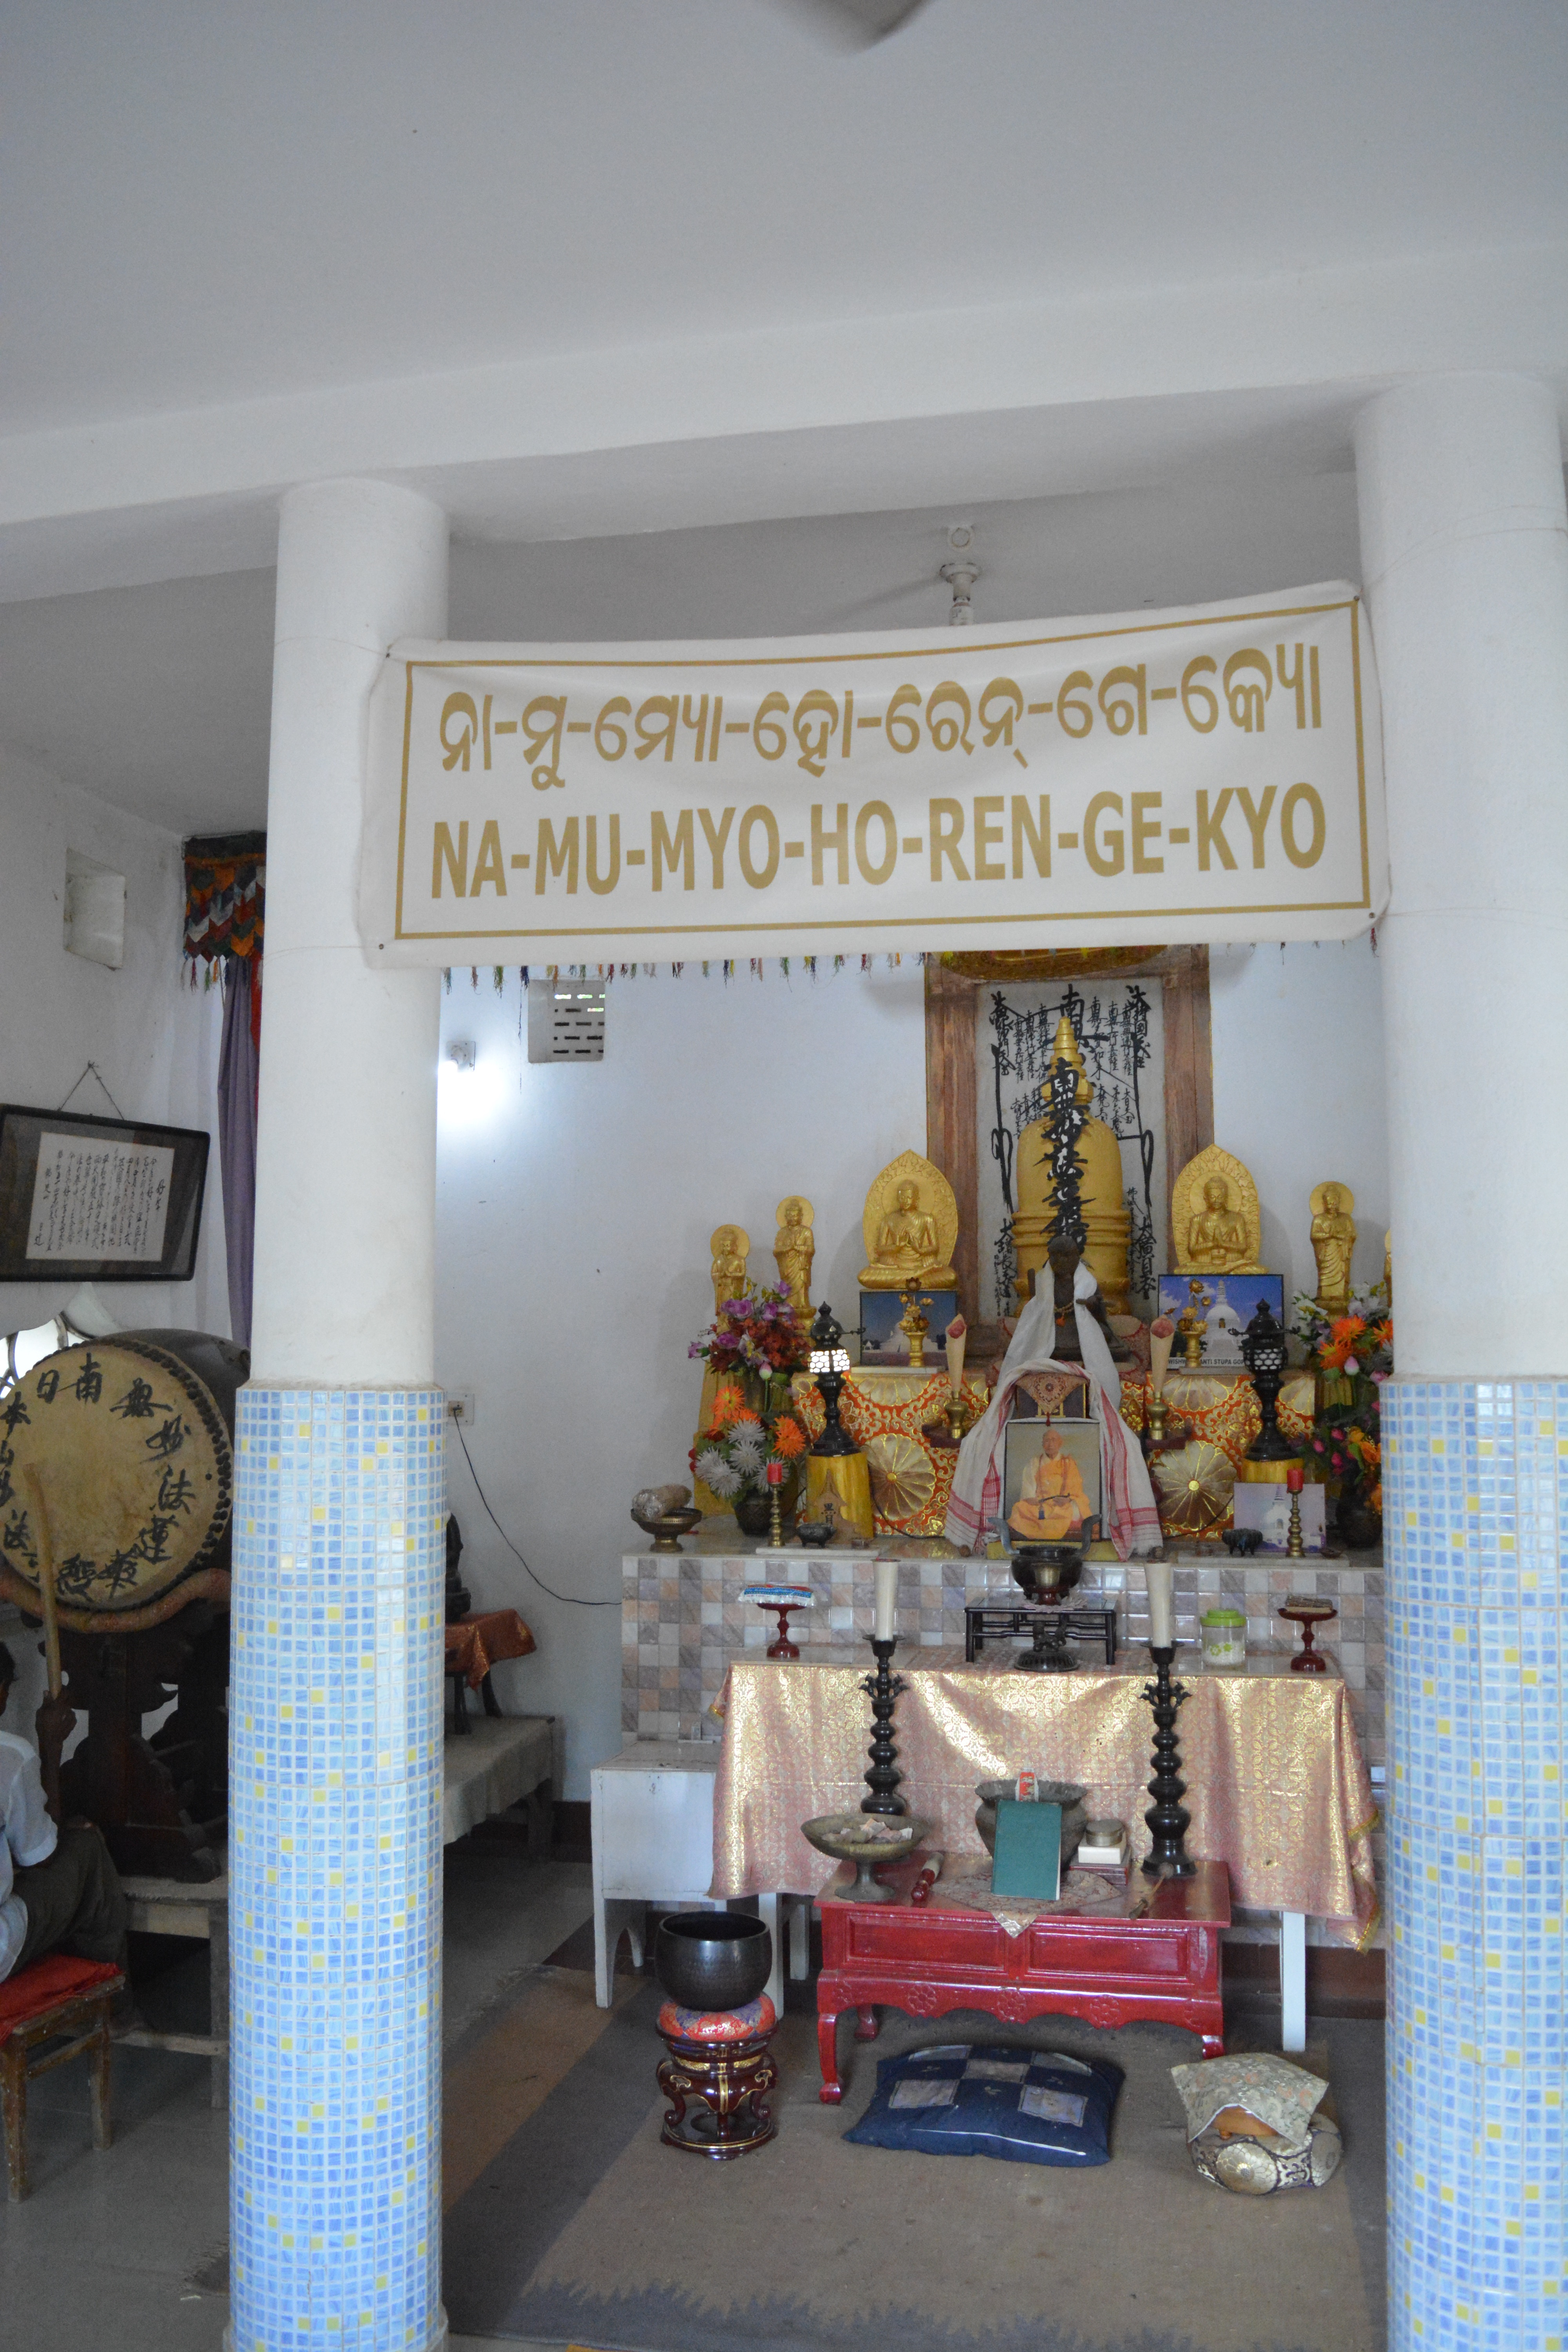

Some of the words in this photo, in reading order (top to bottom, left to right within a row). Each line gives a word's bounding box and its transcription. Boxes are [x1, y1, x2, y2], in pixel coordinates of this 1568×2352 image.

[436, 686, 570, 796] ନା-ମୁ
[575, 684, 729, 773] -ମ୍ୟୋ
[748, 678, 867, 777] ହୋ
[880, 669, 1032, 772] ରେନ୍
[1048, 653, 1163, 750] ଗେ-
[1167, 630, 1329, 748] ମ୍ୟୋ
[413, 806, 518, 918] na
[522, 806, 643, 903] MU-
[618, 792, 790, 901] -MYO
[790, 788, 906, 897] HO
[914, 781, 1067, 895] REN
[1072, 779, 1178, 884] GE
[1178, 766, 1336, 882] KYO